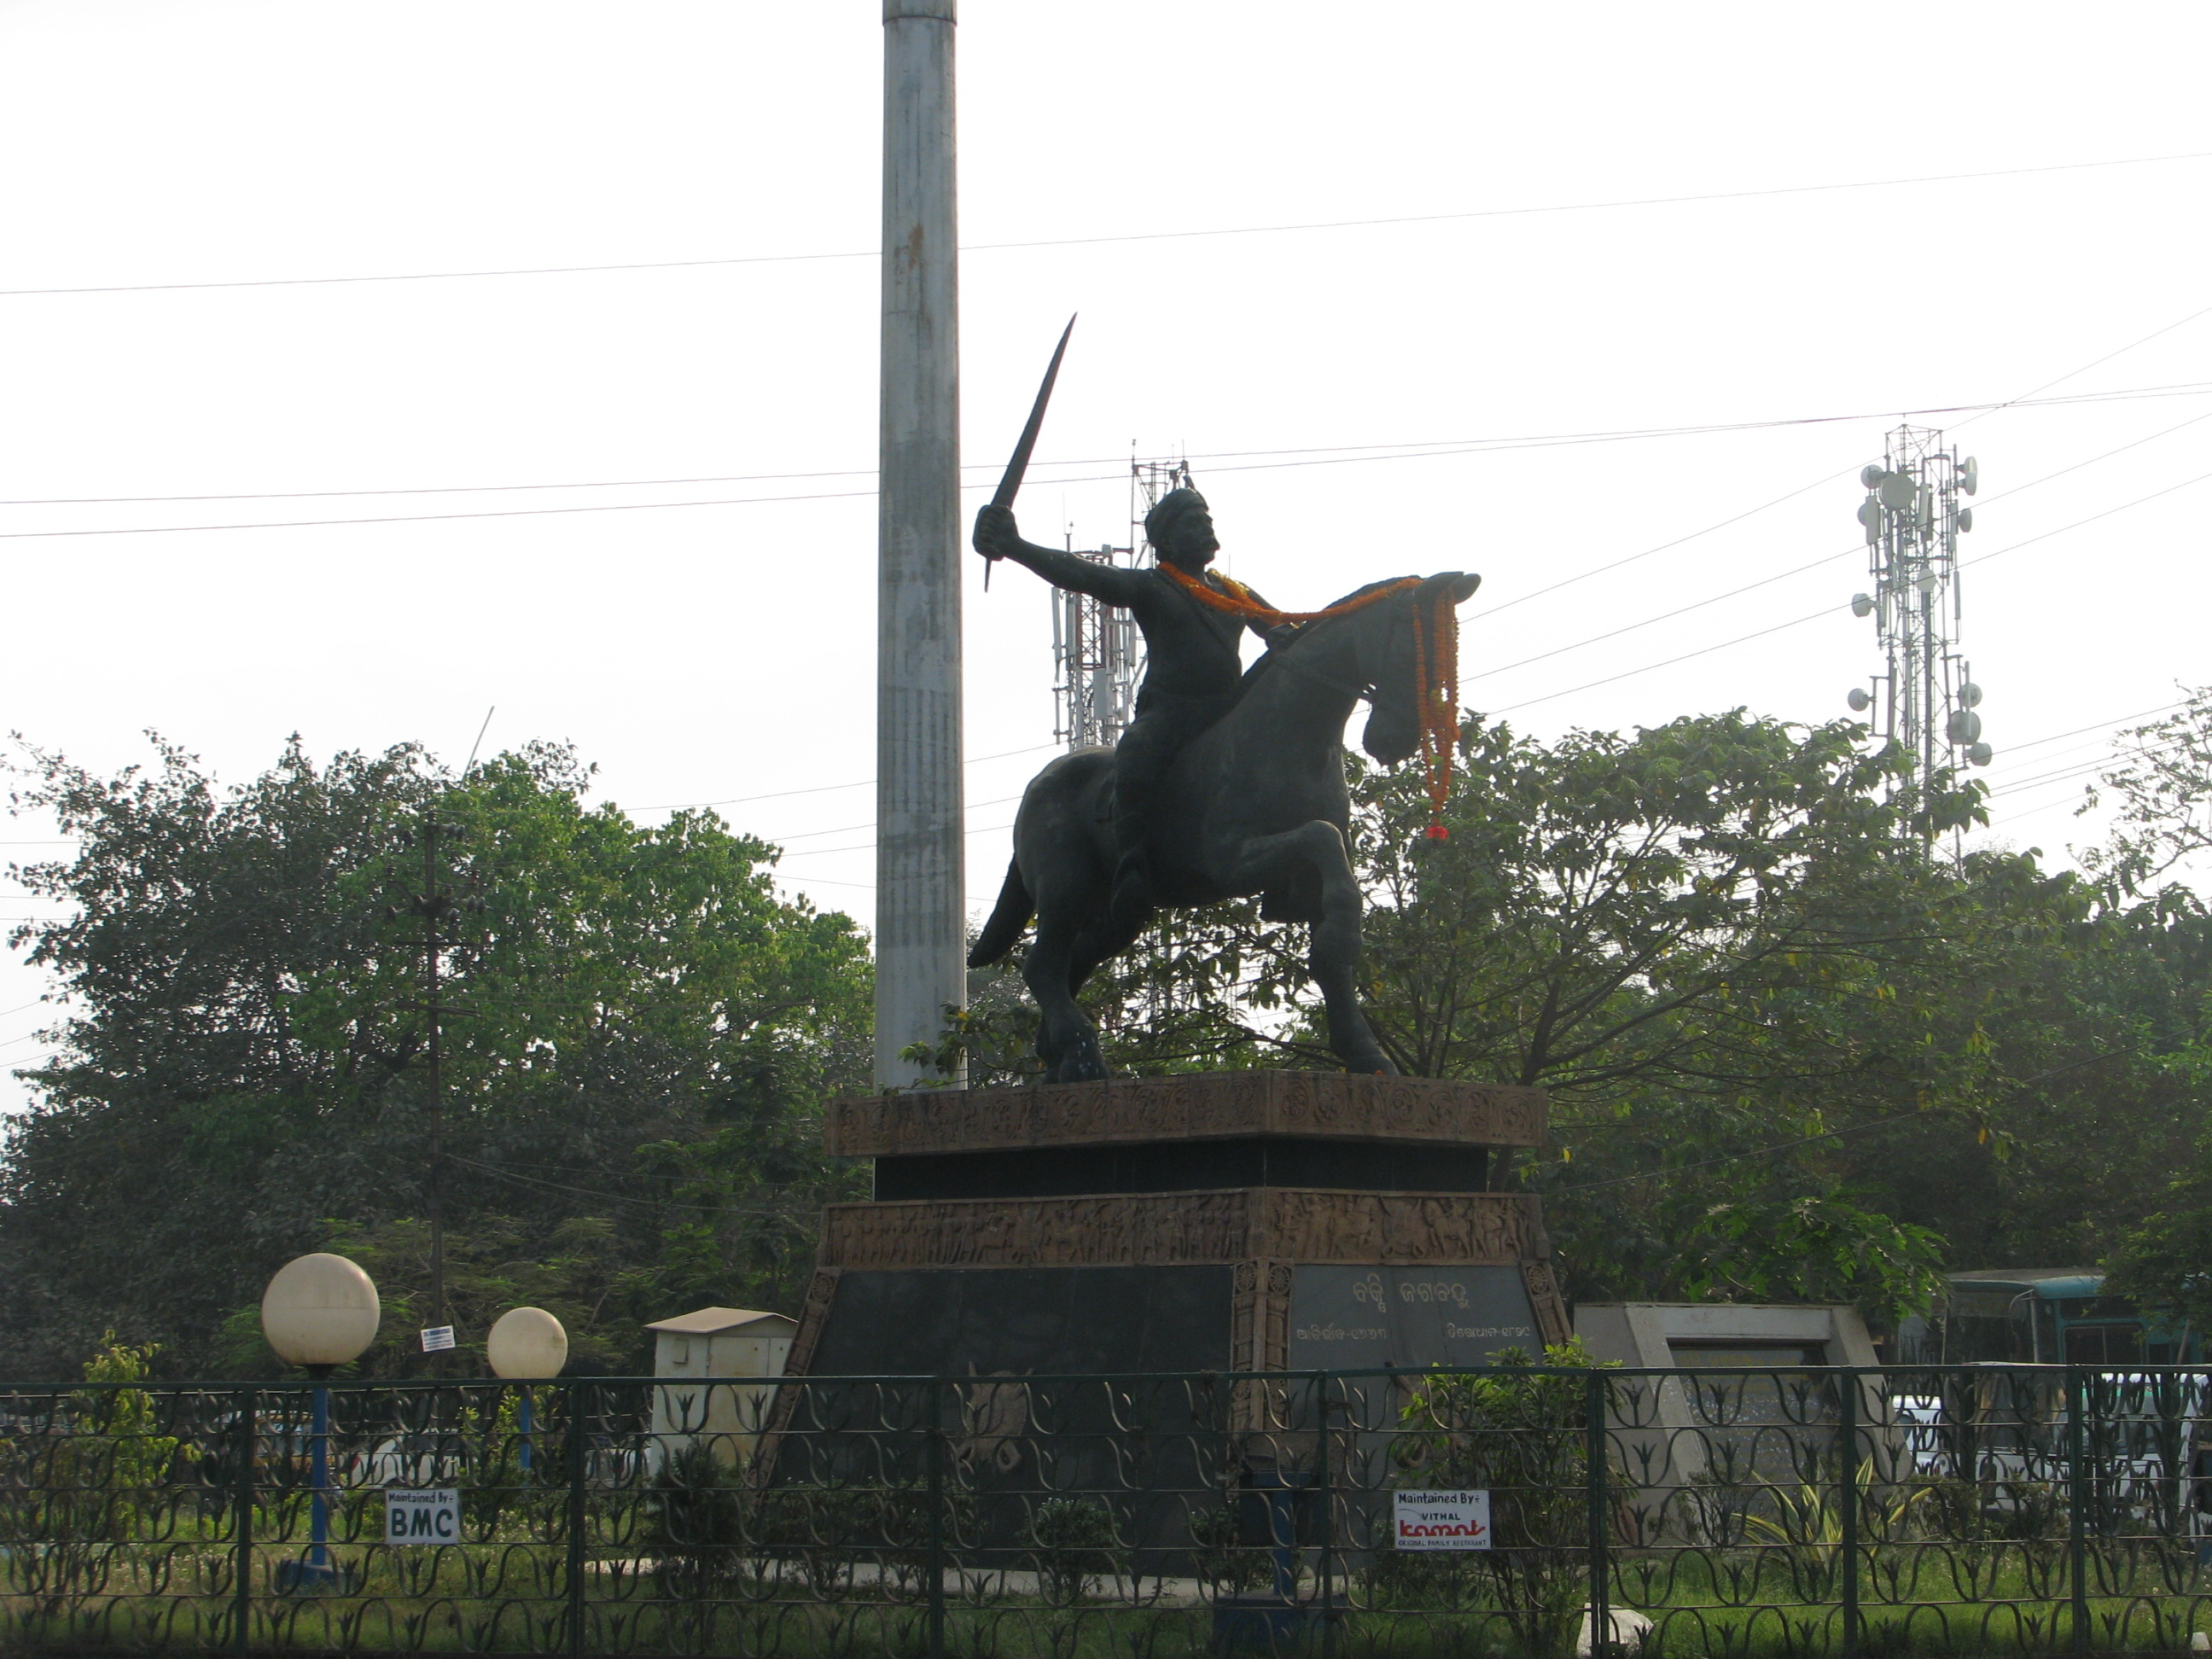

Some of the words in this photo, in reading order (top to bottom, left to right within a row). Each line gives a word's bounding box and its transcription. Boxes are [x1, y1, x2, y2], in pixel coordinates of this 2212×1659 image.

[1345, 1266, 1393, 1318] ବଜ୍ସି
[1397, 1277, 1476, 1312] ଜଗଚଦୁ
[1347, 1321, 1389, 1343] ୧୬୬୩
[1499, 1320, 1529, 1342] ୧୮୨୯
[385, 1486, 439, 1506] Maintained
[434, 1489, 451, 1506] By
[1394, 1486, 1461, 1509] Maintained
[1456, 1488, 1478, 1508] By:
[387, 1499, 458, 1538] BMC
[1417, 1506, 1464, 1524] VITHAL
[1395, 1517, 1486, 1540] Kamal